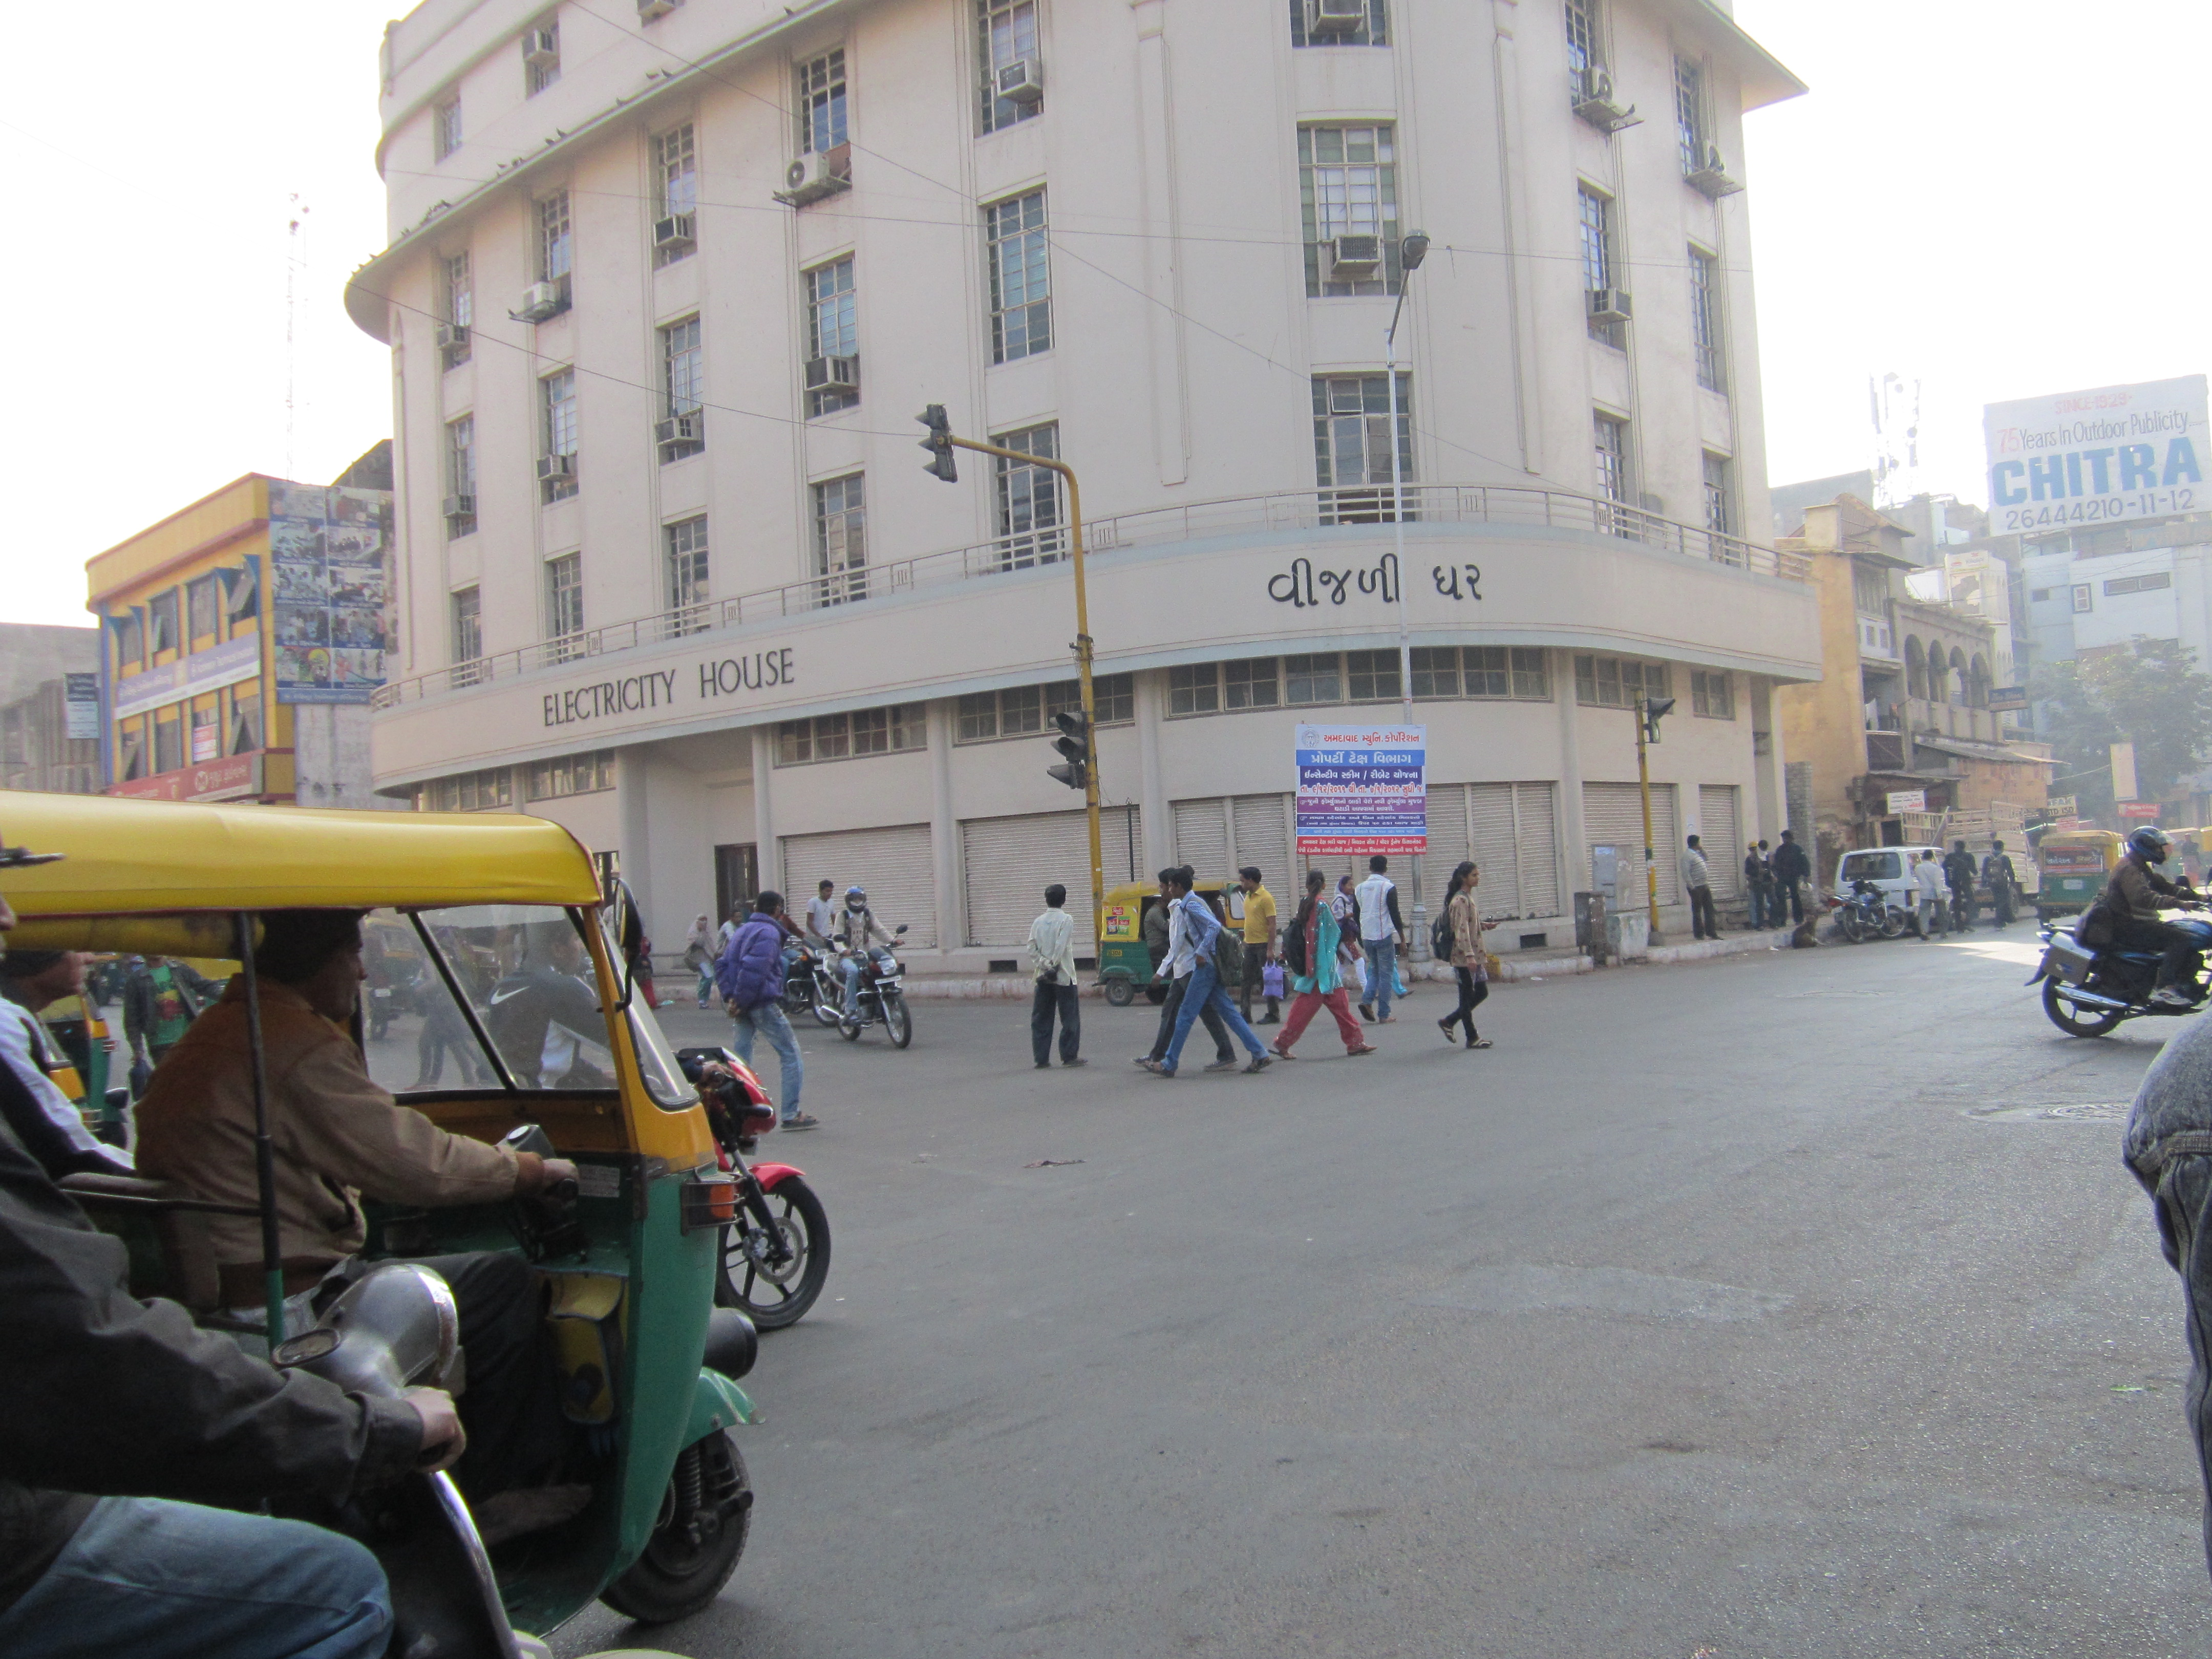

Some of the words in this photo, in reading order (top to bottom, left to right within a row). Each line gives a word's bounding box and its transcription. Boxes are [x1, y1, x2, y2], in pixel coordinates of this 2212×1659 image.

[1264, 548, 1400, 611] વીજળી
[1422, 555, 1490, 606] ઘ૨
[535, 665, 673, 728] ELECTRICITY
[691, 640, 800, 703] HOUSE